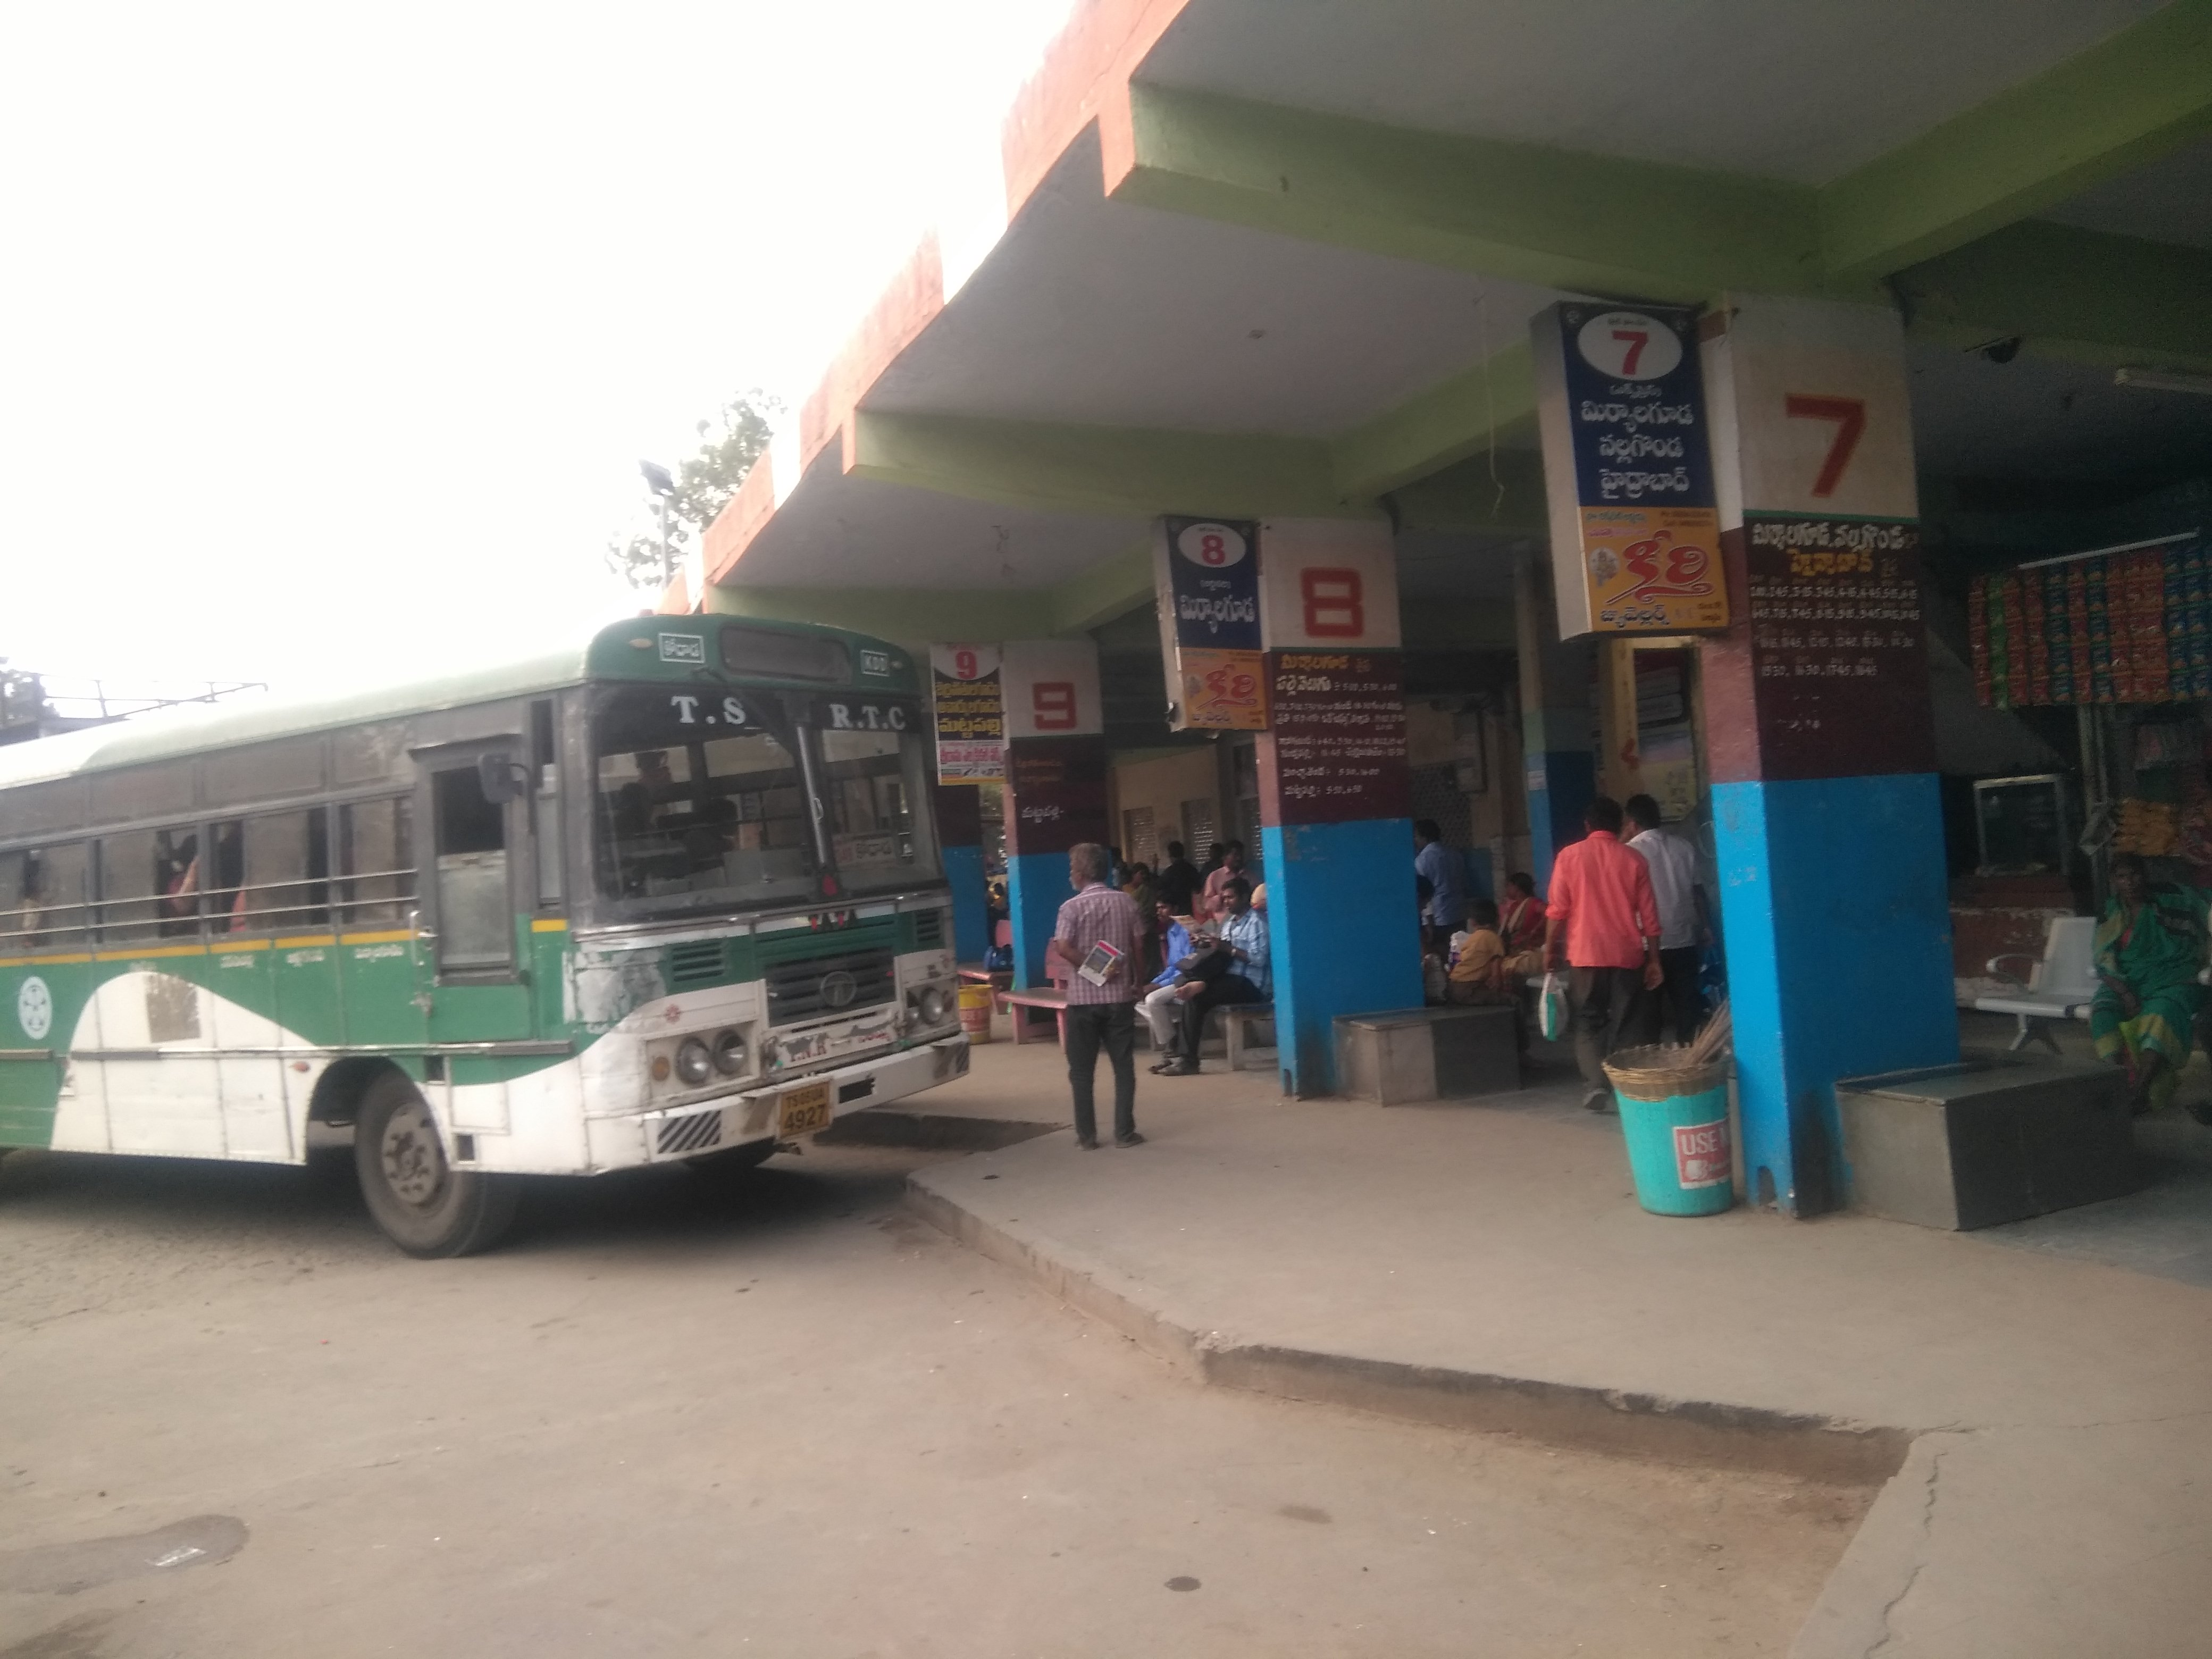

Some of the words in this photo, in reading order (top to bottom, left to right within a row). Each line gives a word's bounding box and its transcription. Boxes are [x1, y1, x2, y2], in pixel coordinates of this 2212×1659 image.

[1602, 367, 1686, 406] ఎక్స్ప్రెస్
[1569, 395, 1699, 434] మిర్యాలగూడ
[1591, 421, 1690, 467] నల్లగొండ
[1590, 459, 1699, 508] హైద్రాహద్
[1747, 516, 1909, 557] మిర్యాలగూడ, నల్లగొండ
[1779, 546, 1876, 580] హైద్రాబాద్
[1173, 585, 1259, 640] మిర్యాలగూడ
[1596, 600, 1672, 633] జ్యువెల్లర్స్
[1278, 650, 1355, 677] మిర్యాలగూడ
[932, 713, 1007, 741] మట్టపల్లి